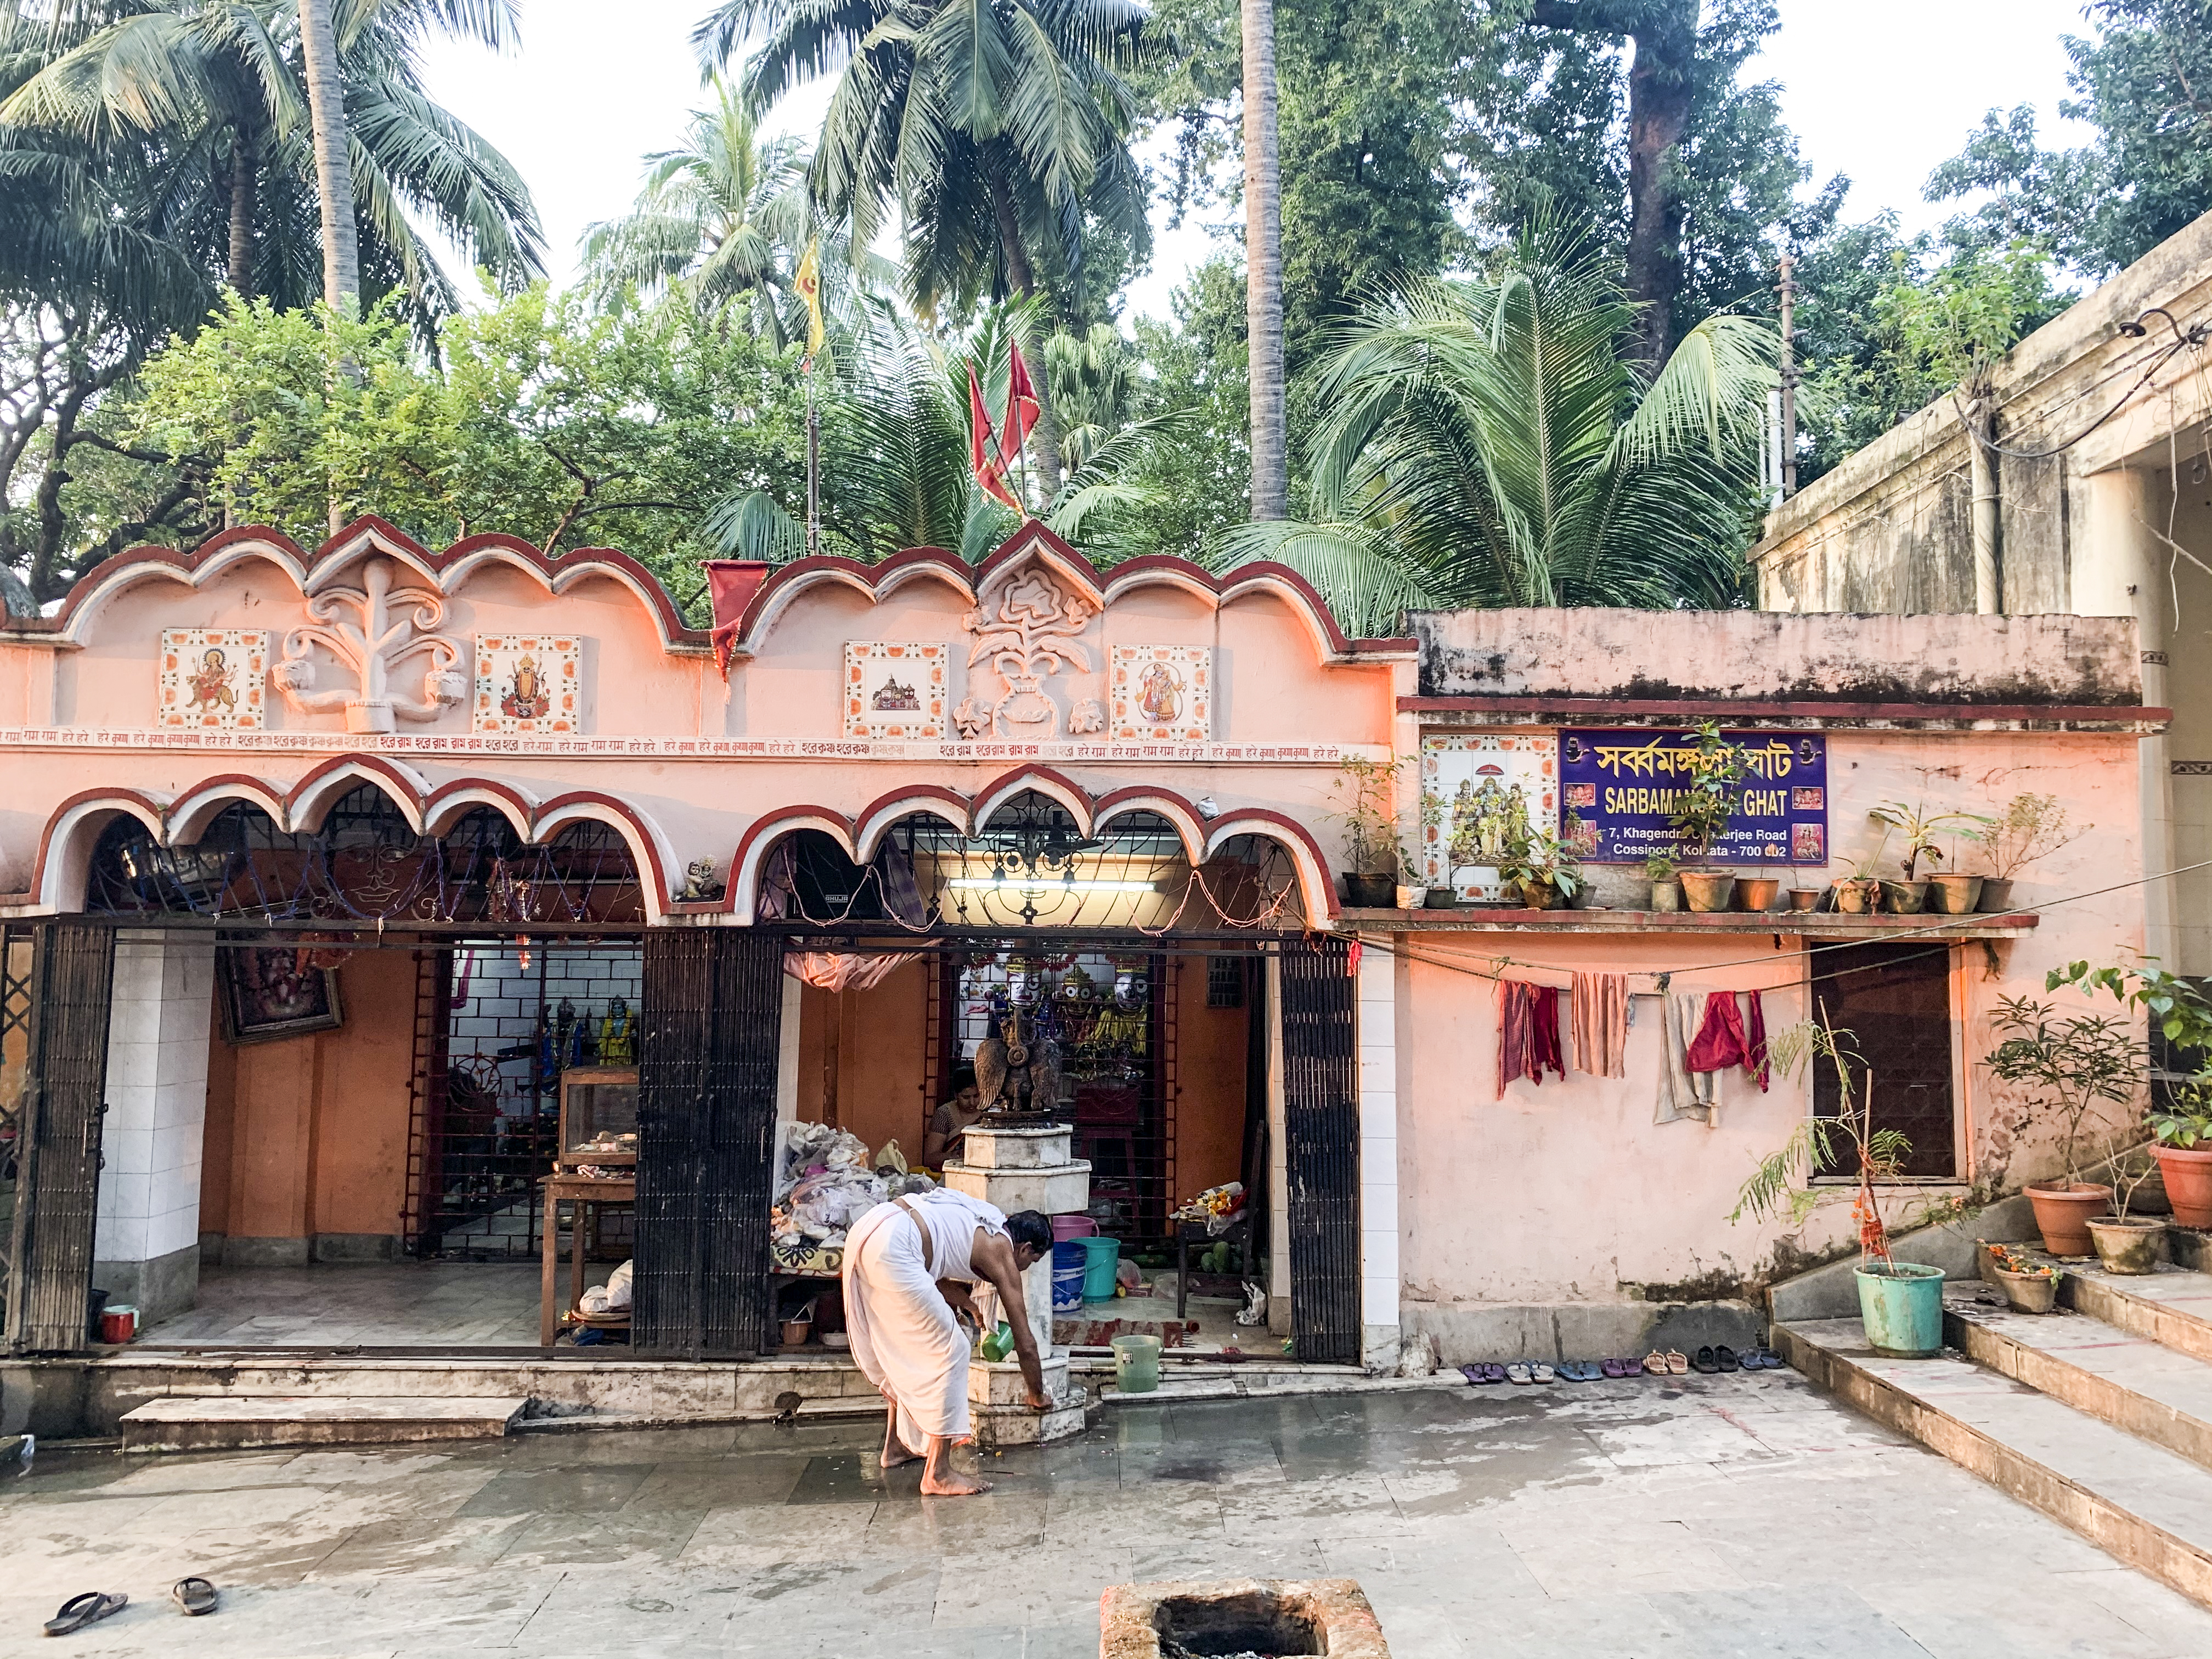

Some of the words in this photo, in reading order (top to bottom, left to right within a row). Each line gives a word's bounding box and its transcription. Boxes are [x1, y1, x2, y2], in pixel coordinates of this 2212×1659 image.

[93, 727, 112, 746] हरे
[109, 731, 133, 749] कृष्ण
[129, 726, 149, 750] हरे
[144, 729, 167, 752] कृष्ण
[161, 731, 203, 751] कृष्णकृष्ण
[201, 730, 221, 747] हरे
[213, 730, 235, 748] हरे
[236, 732, 275, 751] হরে কৃষ্ণ
[272, 733, 310, 751] হরেকৃষ্ণ
[306, 734, 345, 751] কৃষ্ণ কৃষ্ণ
[377, 735, 415, 751] হরেরাম
[518, 736, 555, 754] हरे राम
[550, 737, 590, 754] हरे राम
[589, 738, 627, 753] राम राम
[626, 733, 659, 755] हरेहरे
[660, 733, 679, 755] हरे
[676, 740, 697, 758] कृष्‍ण
[693, 734, 714, 755] हरे
[711, 740, 733, 758] कृष्‍ण
[730, 739, 766, 757] कृष्णकृष्ण
[763, 736, 798, 757] हरे हरे
[1592, 731, 1738, 783] সর্ব্বমঙ্গলা
[1736, 731, 1797, 783] ঘাট
[1601, 780, 1742, 817] SARBAMA
[1741, 783, 1790, 819] GHAT
[1605, 821, 1689, 843] 7,Khagendr
[1753, 824, 1790, 843] Road
[1607, 839, 1681, 860] Cossinore,
[1679, 841, 1732, 856] Kolkata
[1736, 839, 1790, 859] 700002